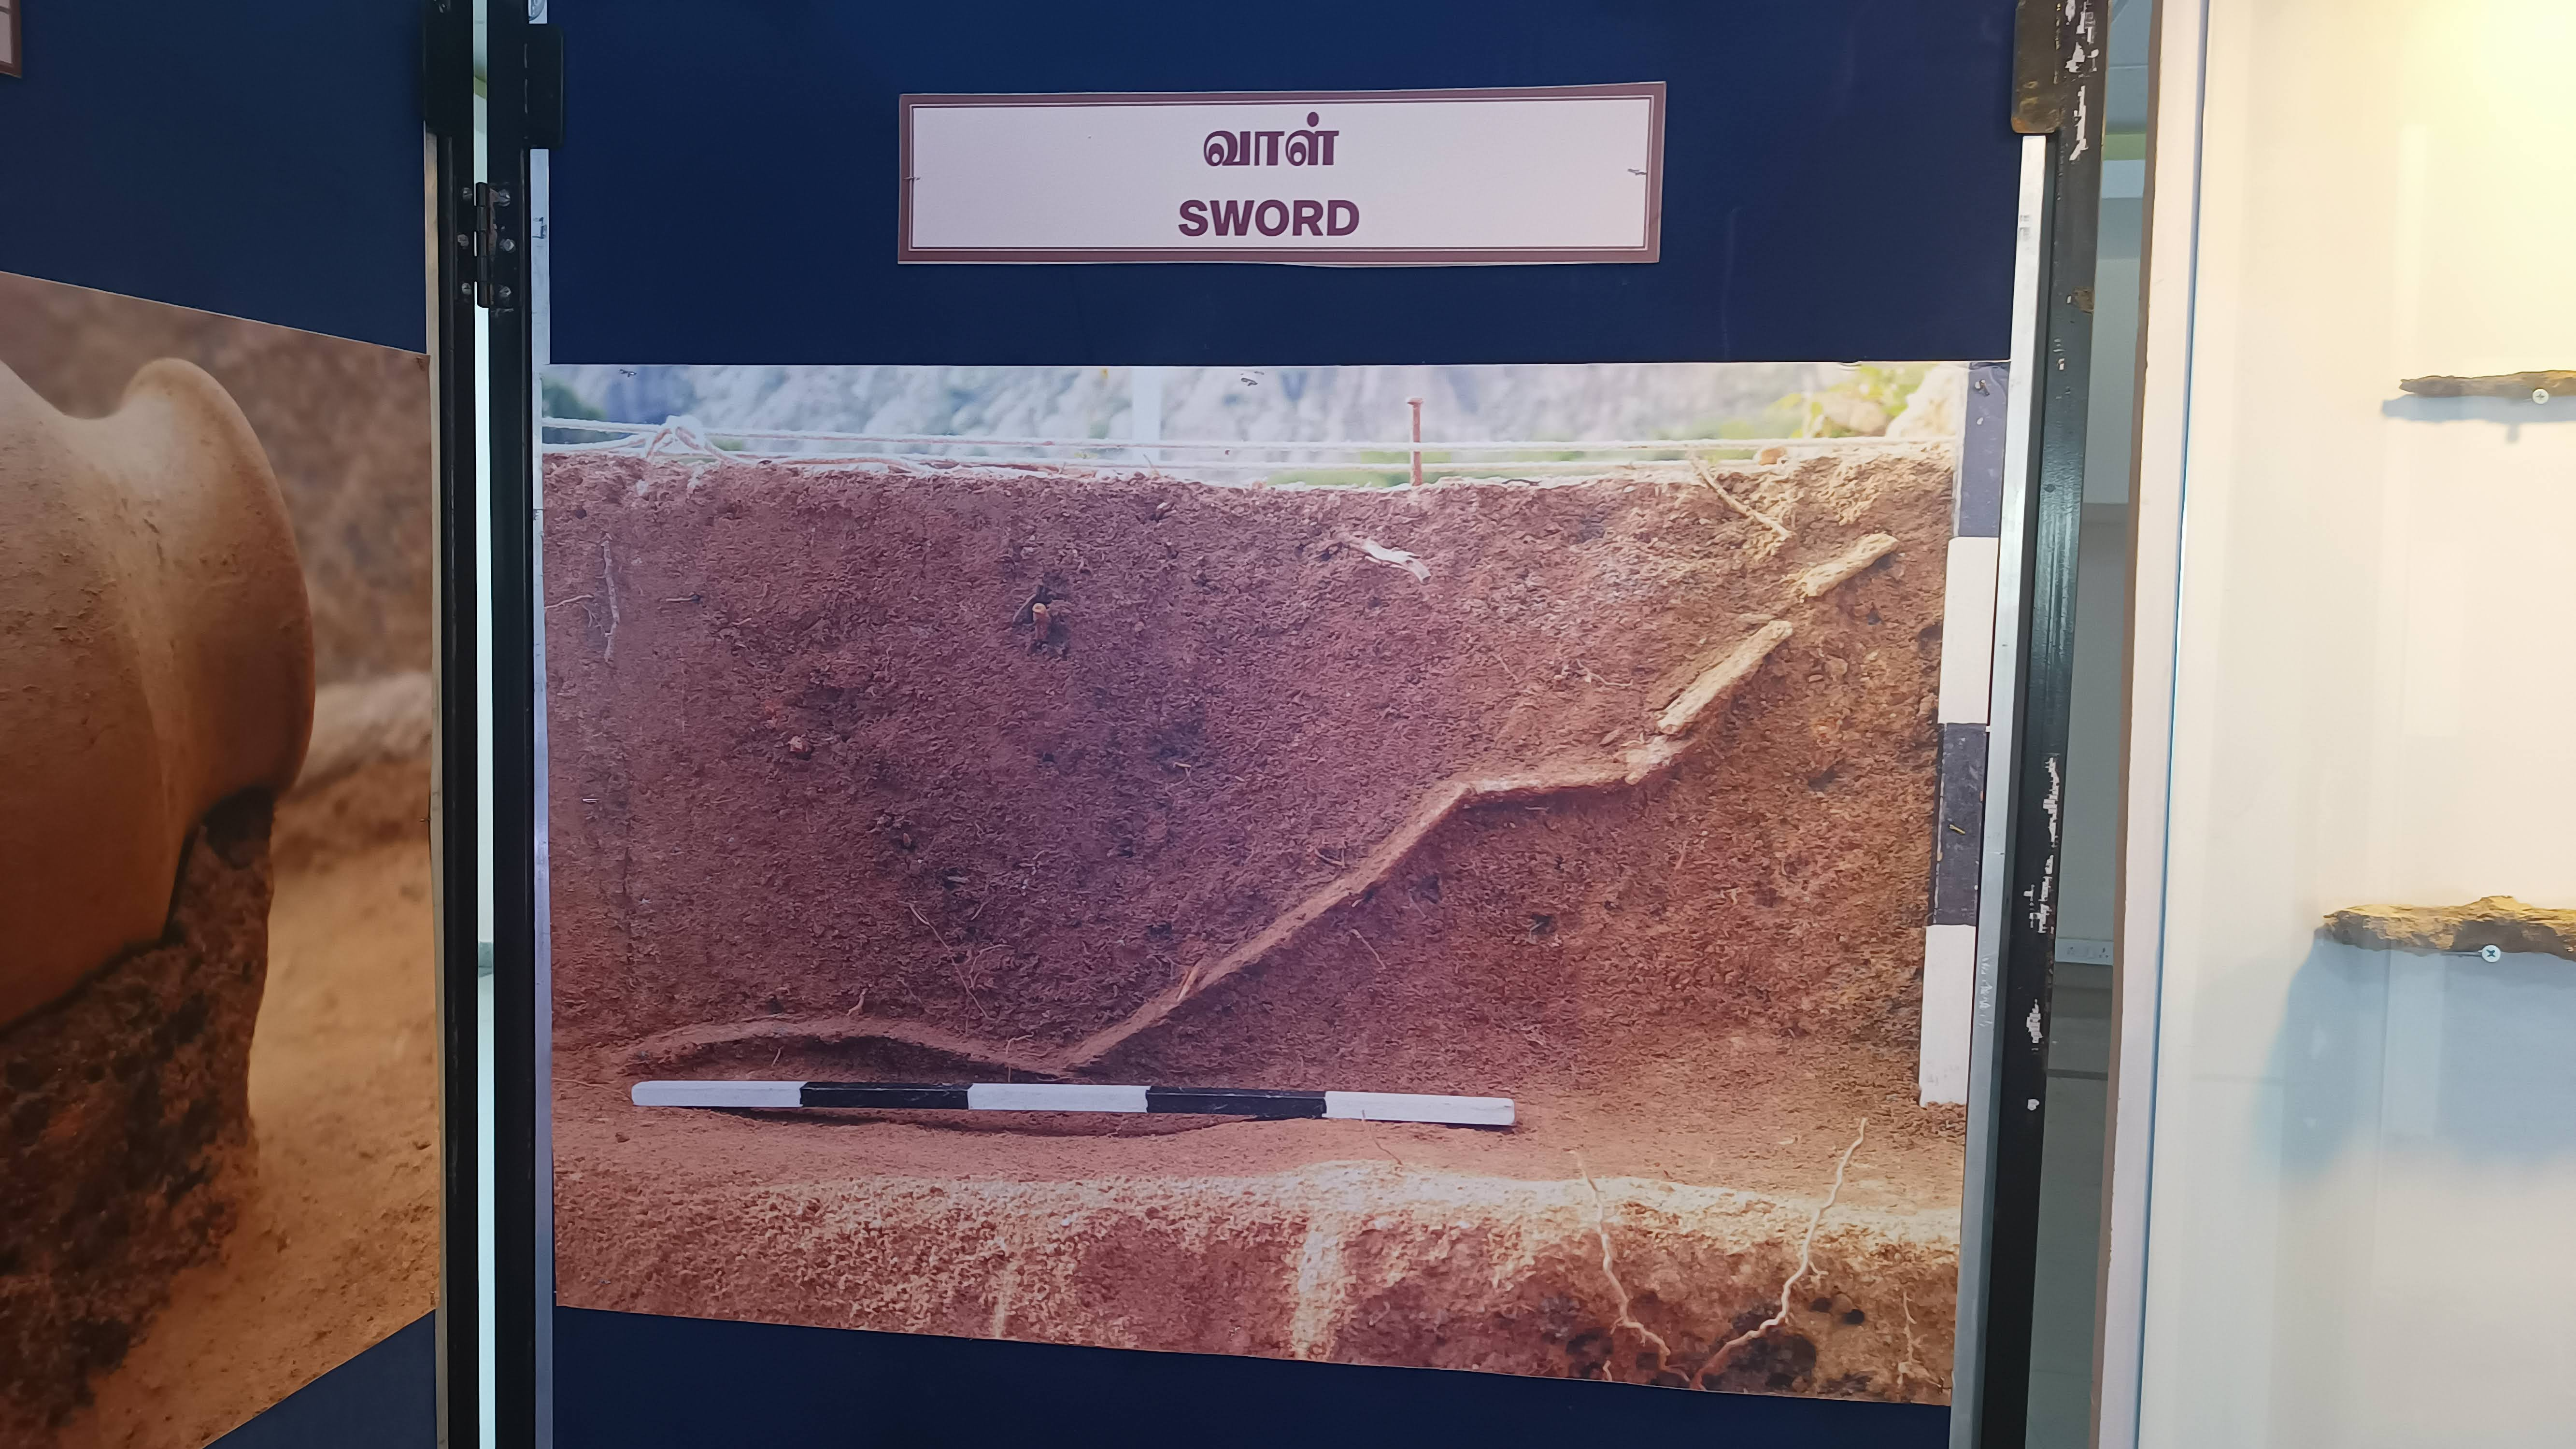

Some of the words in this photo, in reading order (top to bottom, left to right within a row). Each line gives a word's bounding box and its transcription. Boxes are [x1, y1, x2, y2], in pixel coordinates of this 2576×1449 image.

[1196, 109, 1343, 169] வாள்
[1178, 197, 1364, 240] SWORD